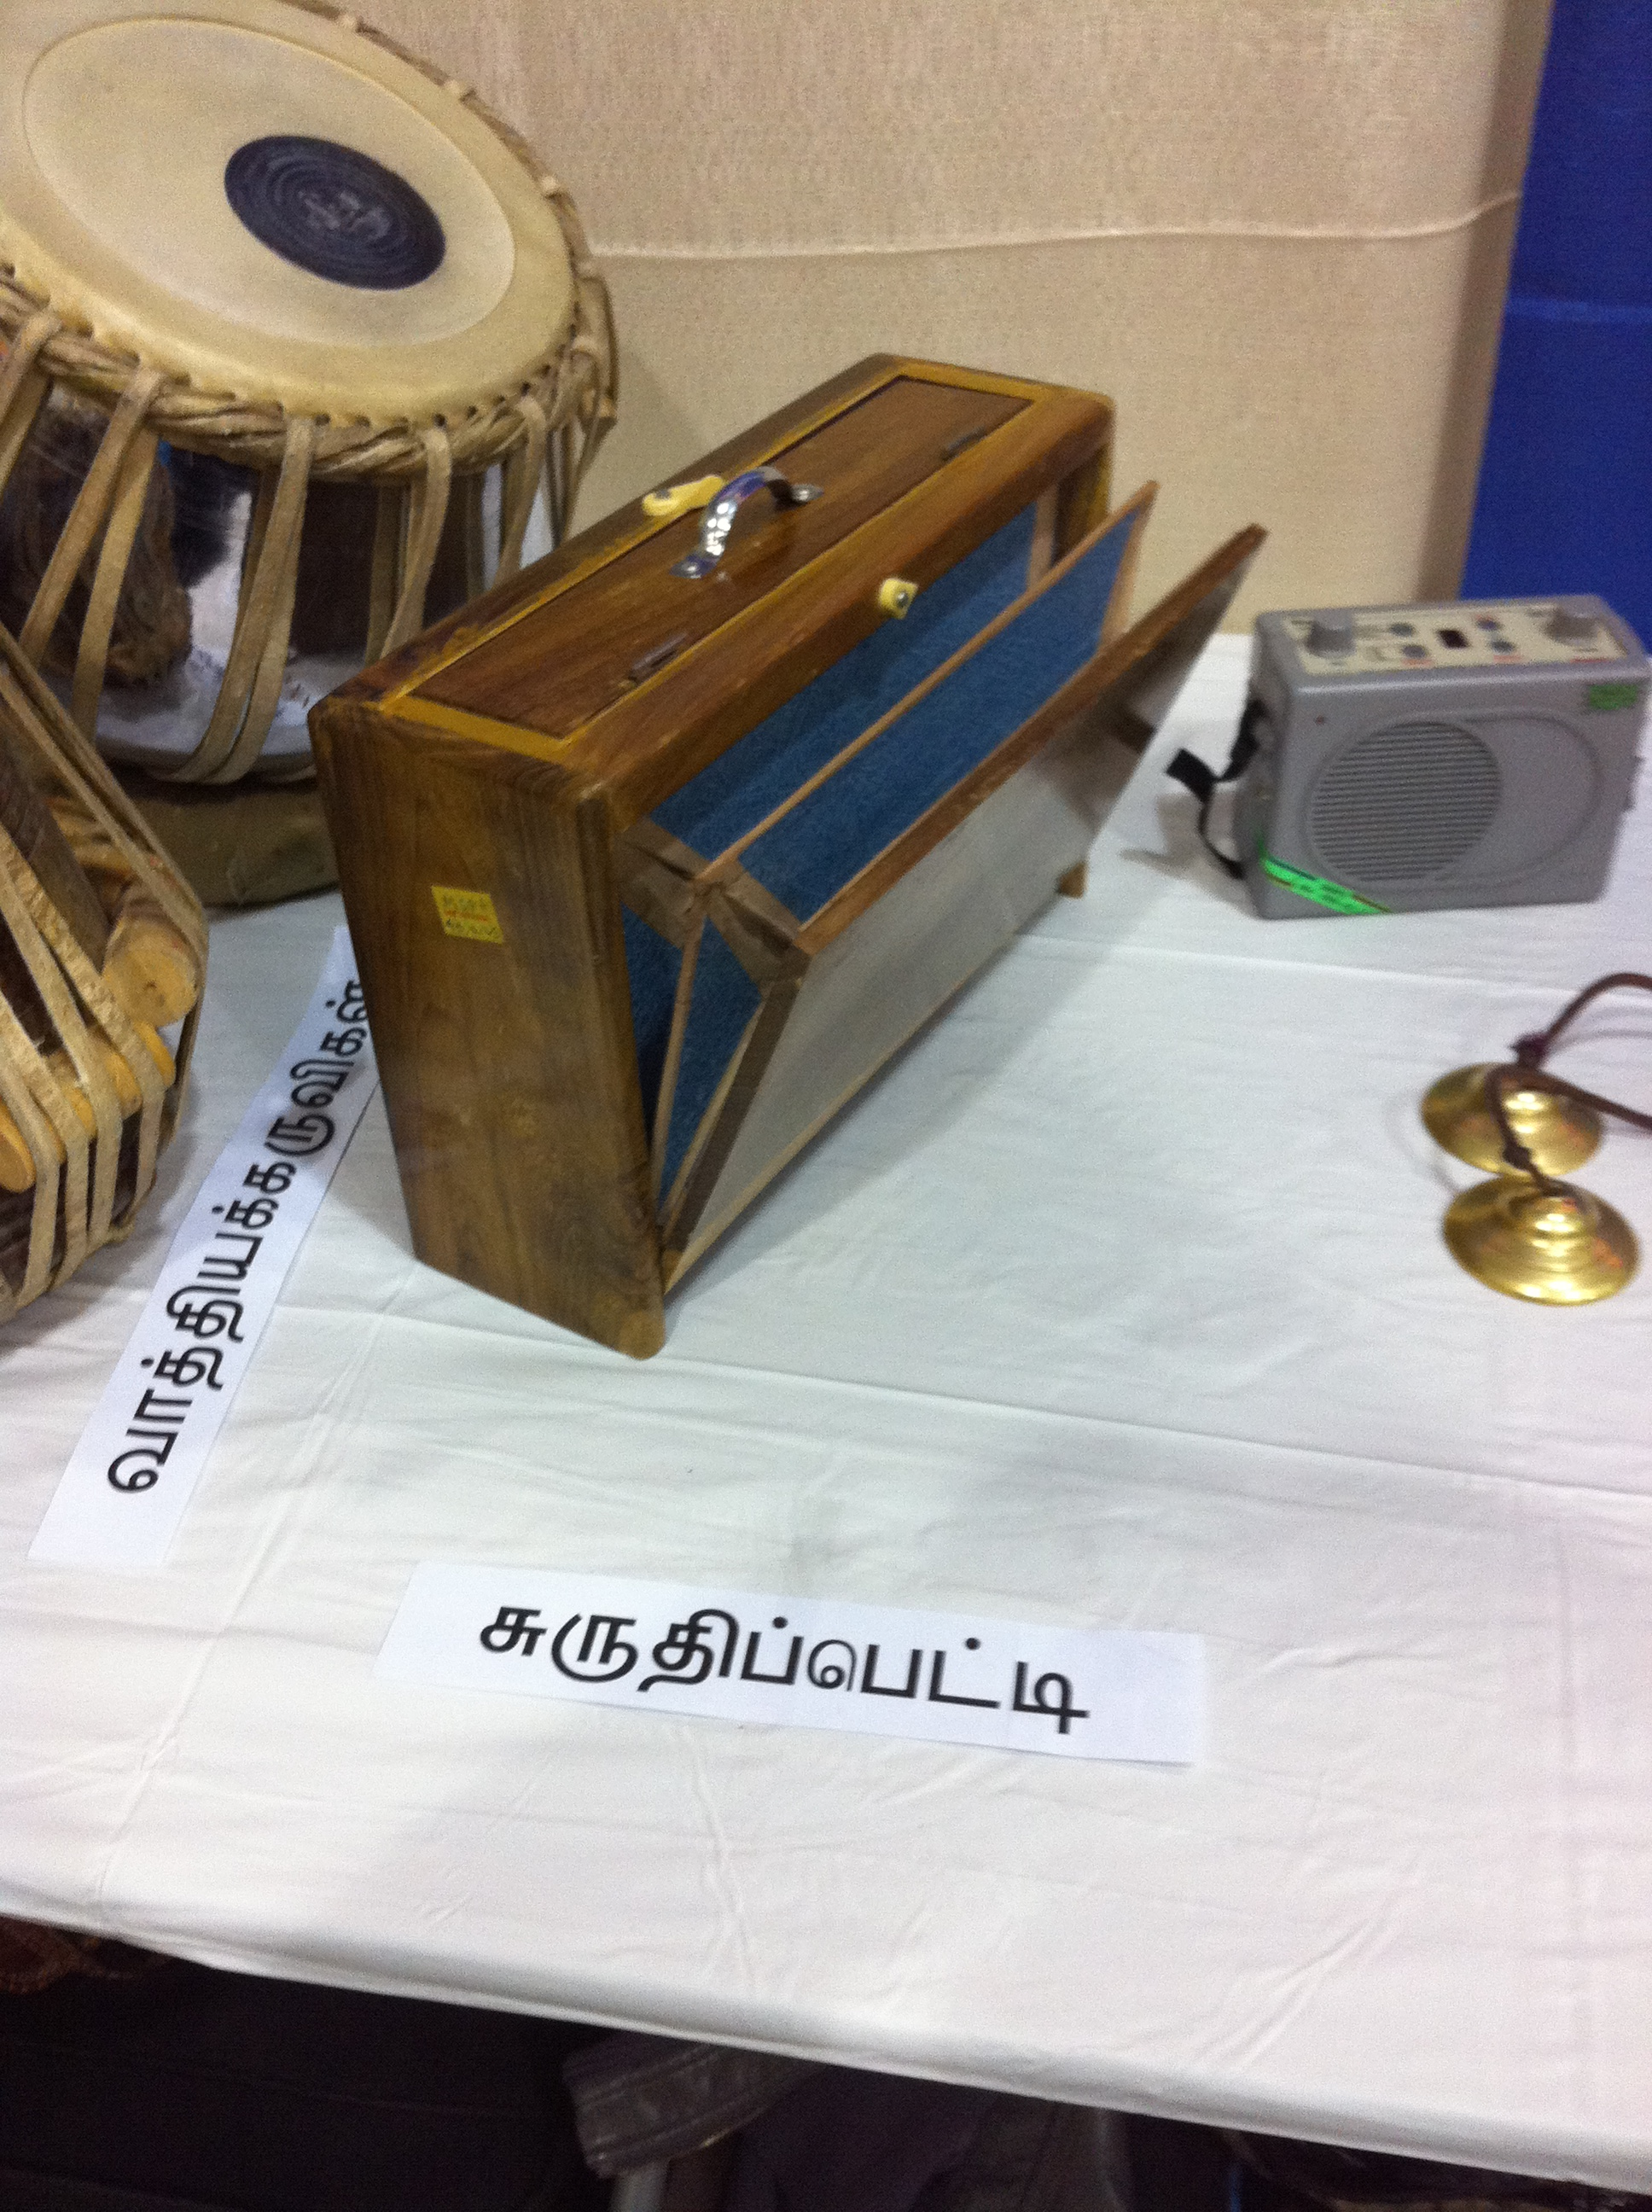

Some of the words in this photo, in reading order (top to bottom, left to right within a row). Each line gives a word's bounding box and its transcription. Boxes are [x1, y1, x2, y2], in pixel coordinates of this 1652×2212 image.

[256, 973, 372, 1162] ருவிகள்
[97, 1155, 304, 1507] வாத்தியக்க
[466, 1594, 1097, 1741] சுருதிப்பெட்டி